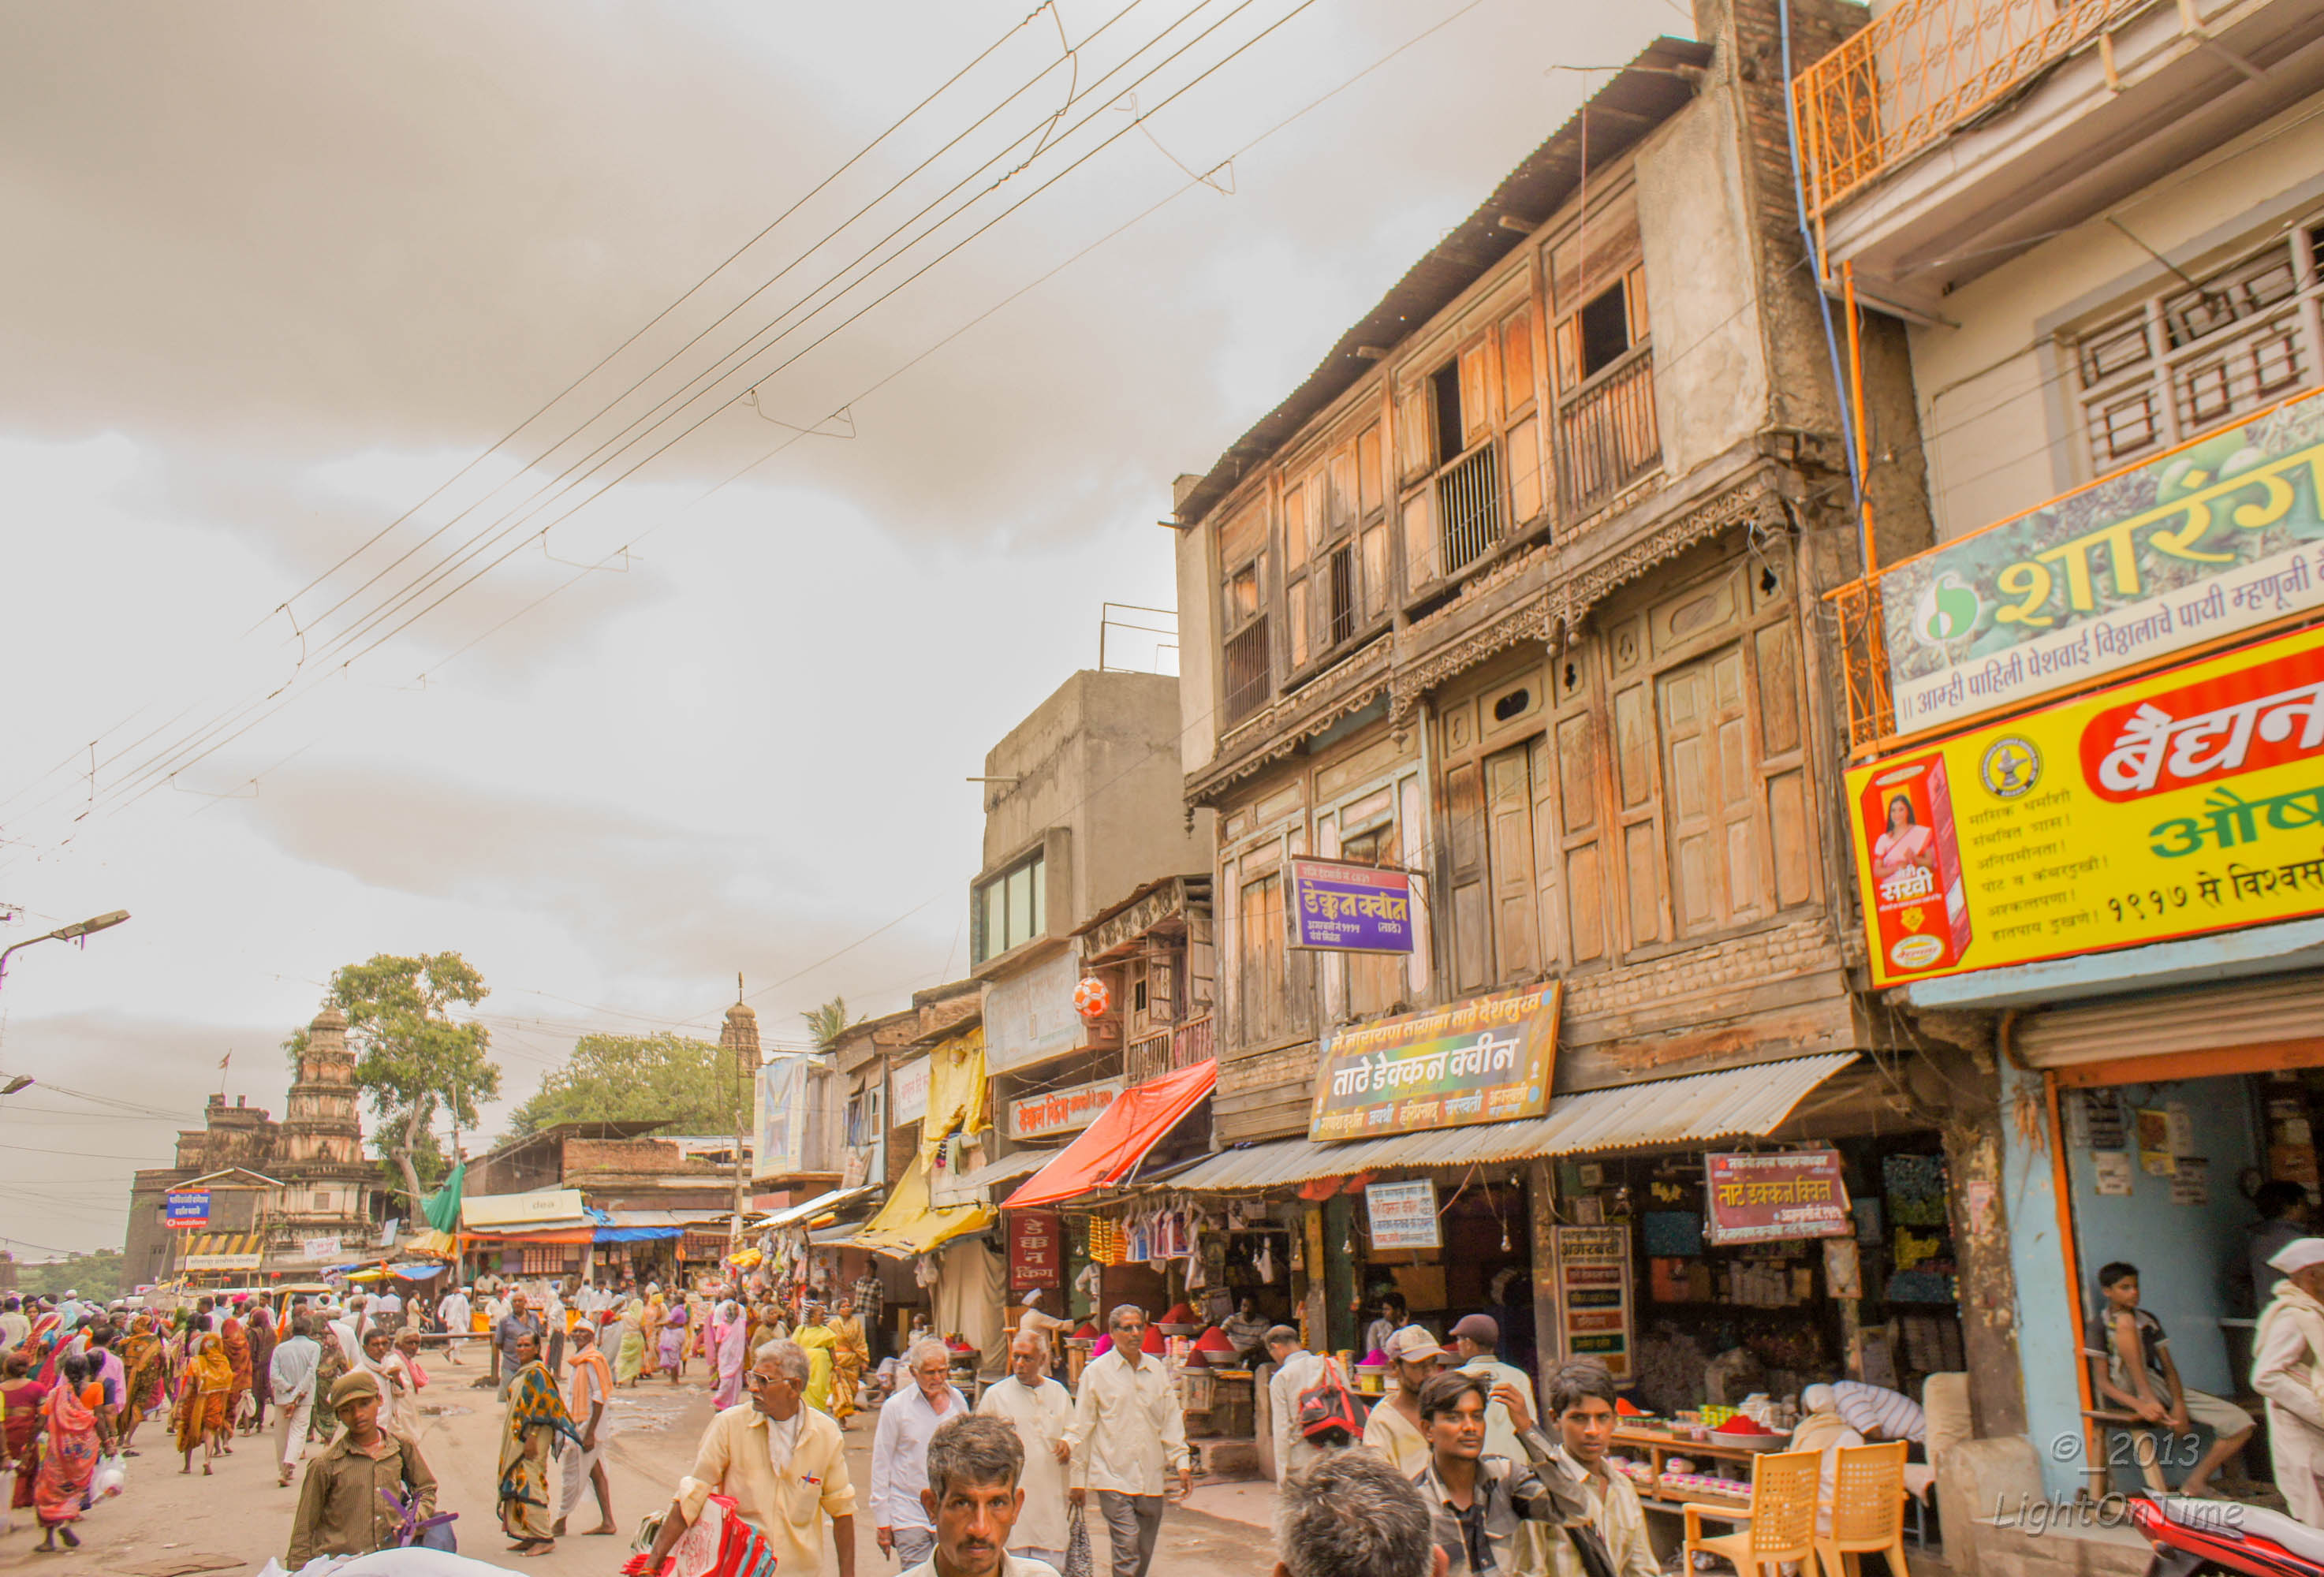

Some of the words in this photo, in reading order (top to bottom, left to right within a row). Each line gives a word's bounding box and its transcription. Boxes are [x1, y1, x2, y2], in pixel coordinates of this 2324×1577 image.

[1993, 440, 2318, 638] शारंग
[2229, 550, 2316, 616] म्हणूनी
[2177, 580, 2232, 632] पायी
[2084, 598, 2177, 660] विठ्ठालाचे
[1914, 665, 1968, 715] आम्ही
[1964, 643, 2026, 700] पाहिली
[2025, 627, 2094, 679] पेशवाई
[2098, 686, 2318, 795] बैद्यन
[1965, 802, 2021, 828] मासिक
[2017, 781, 2079, 816] धर्माशी
[1298, 875, 1363, 922] डेक्कन
[1352, 886, 1412, 924] क्वीन
[1374, 918, 1401, 936] (ताठे)
[1976, 871, 2009, 897] पोट
[1990, 918, 2044, 945] हातपाय
[1973, 836, 2064, 873] अनियमीनता
[1985, 887, 2074, 919] अश्कत्तपणा
[2031, 847, 2106, 886] कंबरदुखी
[2043, 904, 2094, 938] दुखणे
[2106, 876, 2194, 928] १९१७
[2196, 859, 2228, 913] से
[2222, 859, 2319, 906] विश्‍वस
[1450, 995, 1482, 1032] ताठे
[1478, 987, 1543, 1026] देशमुख
[1325, 1024, 1346, 1054] मे
[1329, 1054, 1378, 1098] ताठे
[1341, 1020, 1405, 1051] नारायण
[1370, 1046, 1453, 1095] डेक्कन
[1446, 1025, 1525, 1080] क्वीन
[1009, 1086, 1075, 1135] डेक्कन किंग
[1319, 1106, 1370, 1137] गणेश दर्शन
[1363, 1098, 1399, 1128] जयश्री
[1394, 1094, 1443, 1127] हरिप्रसाद
[1440, 1086, 1490, 1119] सरस्वती
[1717, 1172, 1750, 1214] ताटे
[1741, 1170, 1797, 1210] डेक्कन
[1790, 1169, 1835, 1207] क्विन
[1016, 1214, 1054, 1269] डेक्कन
[1556, 1235, 1624, 1259] अगरबत्ती
[1010, 1258, 1057, 1285] किंग
[2033, 1413, 2214, 1484] ©_2013
[1986, 1486, 2152, 1542] Lighton
[2149, 1485, 2250, 1532] Time